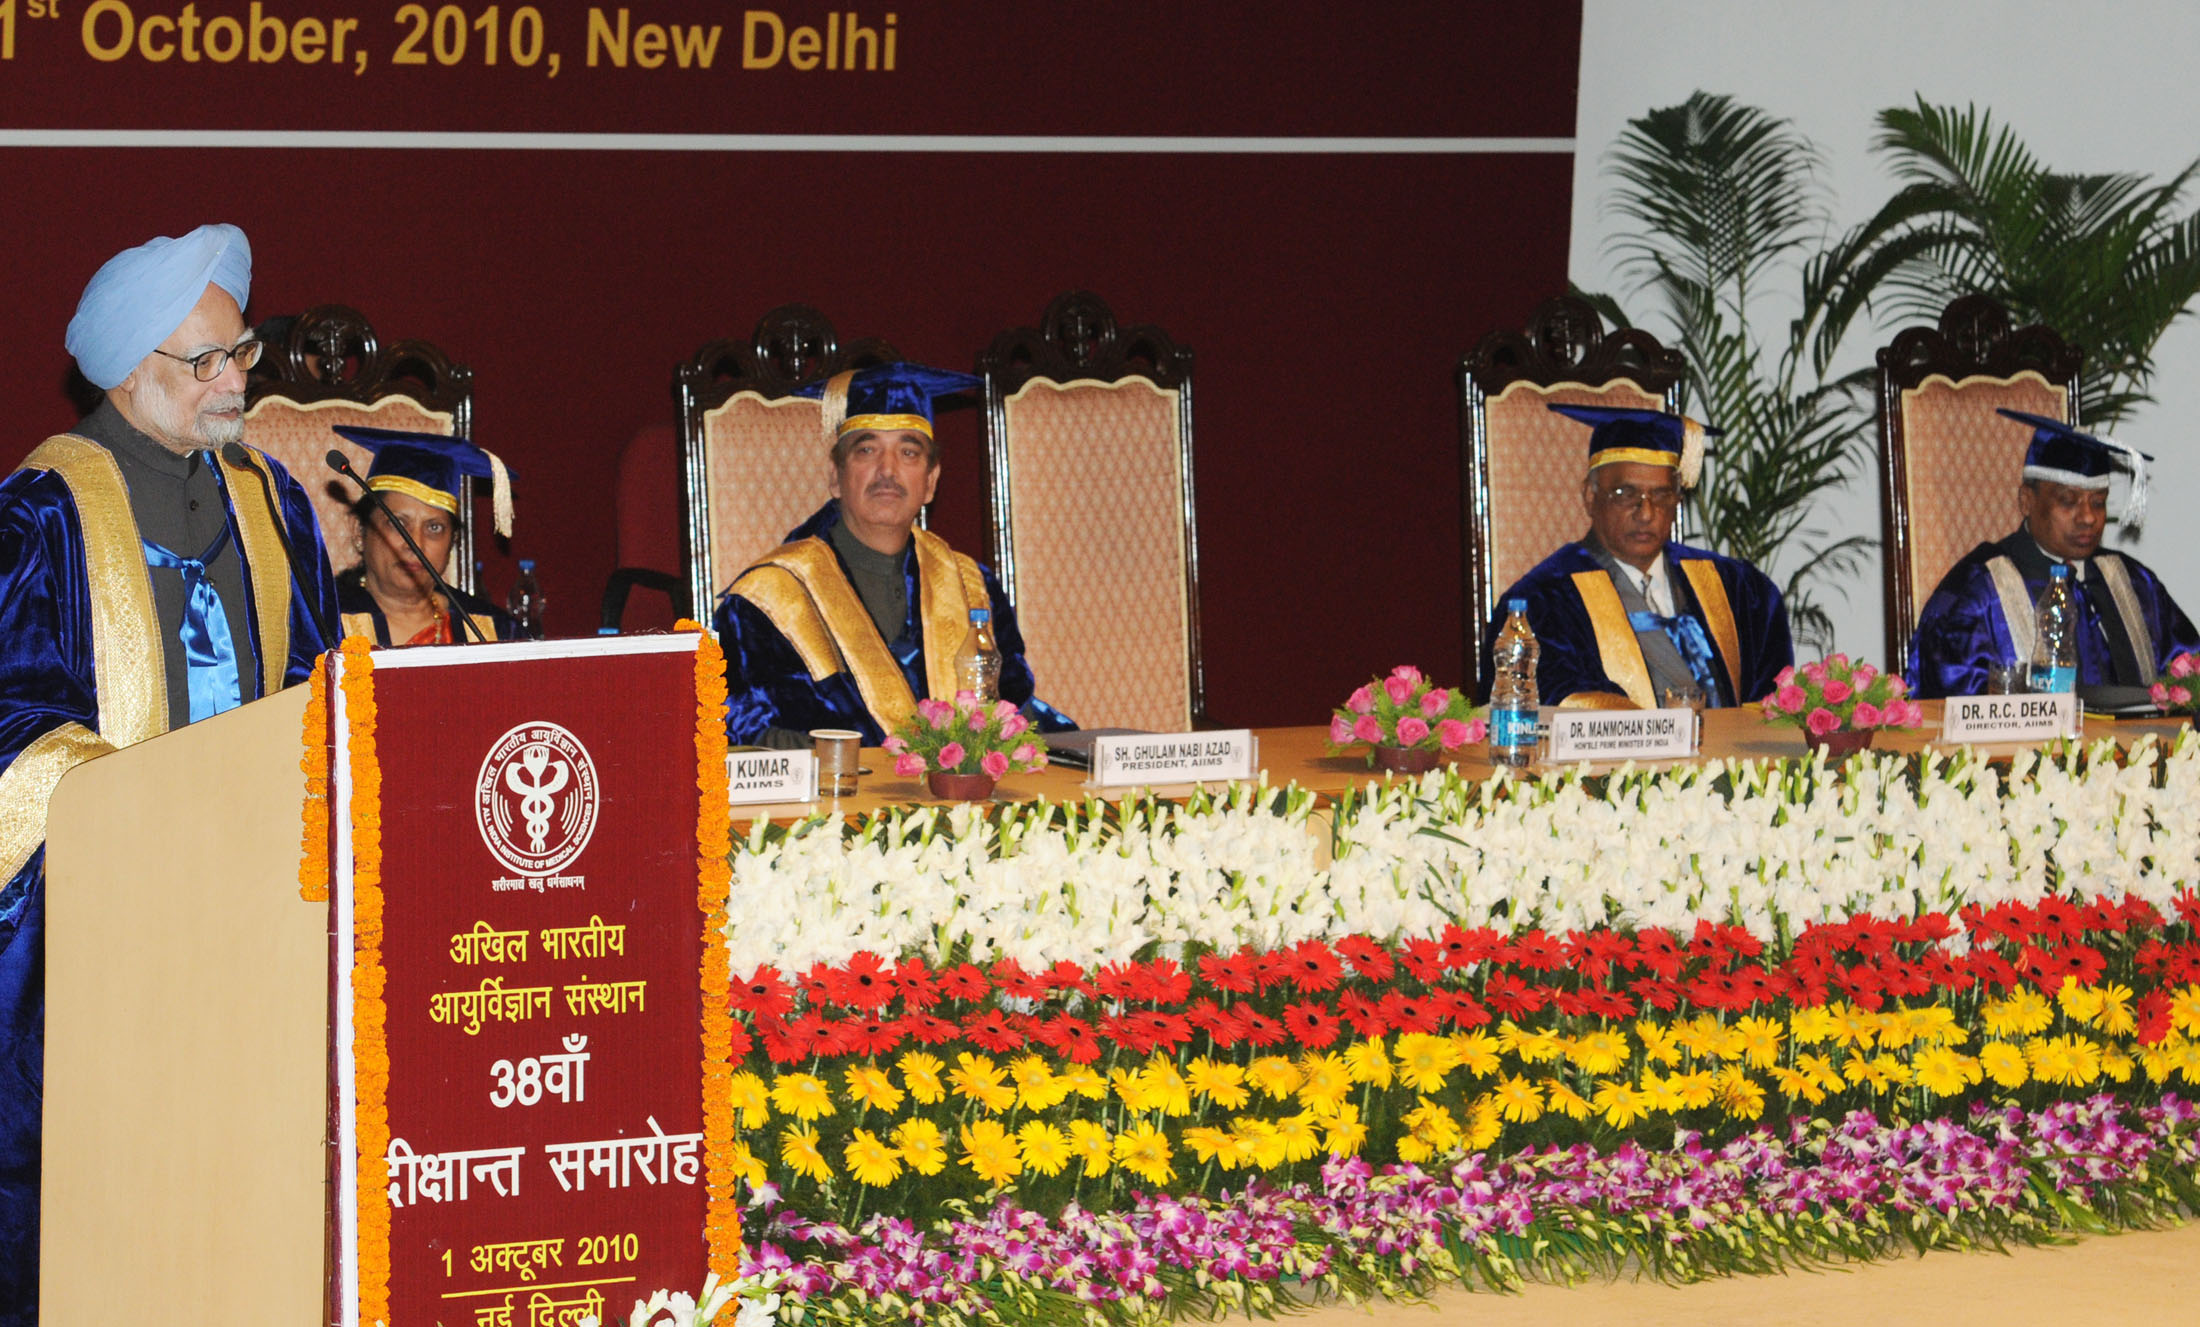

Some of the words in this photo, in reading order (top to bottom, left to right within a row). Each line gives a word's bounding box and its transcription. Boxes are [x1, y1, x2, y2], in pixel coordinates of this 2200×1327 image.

[81, 2, 358, 67] October
[384, 0, 555, 76] 2010,
[576, 2, 726, 78] New
[737, 5, 904, 78] Delhi
[477, 760, 502, 809] अखिल
[488, 727, 530, 762] भारतीय
[524, 725, 585, 763] आयुर्विज्ञान
[570, 754, 596, 804] संस्थान
[1107, 741, 1179, 765] SH.GHULAM
[1119, 754, 1189, 774] PRESIDENT,
[1173, 741, 1205, 760] NABI
[1186, 755, 1229, 770] AIIMS
[1201, 738, 1235, 759] AZAD
[1568, 716, 1648, 741] DR.MANMOHAN
[1639, 717, 1678, 737] SINGH
[1959, 701, 1988, 723] DR.
[1986, 699, 2020, 721] R.C.
[2017, 698, 2061, 721] DEKA
[482, 819, 508, 855] INDIA
[488, 867, 529, 896] शरीरमाद्यं
[496, 841, 537, 873] भ्यााचाच
[524, 875, 548, 896] खलु
[527, 855, 550, 873] OF
[541, 839, 580, 873] MEDICAL
[542, 868, 587, 893] धर्मसाधनम्
[437, 914, 531, 972] अखि‍ल
[531, 911, 629, 966] भारतीय
[427, 973, 557, 1043] आयुर्विज्ञान
[561, 969, 650, 1023] संस्थान
[483, 1029, 595, 1113] 38वाँ
[545, 1110, 706, 1198] समारोह
[374, 1135, 525, 1215] दीक्षान्त
[465, 1235, 566, 1285] अक्टूबर
[570, 1230, 642, 1268] 2010
[469, 1289, 517, 1326] नई
[519, 1282, 609, 1327] दिल्ली